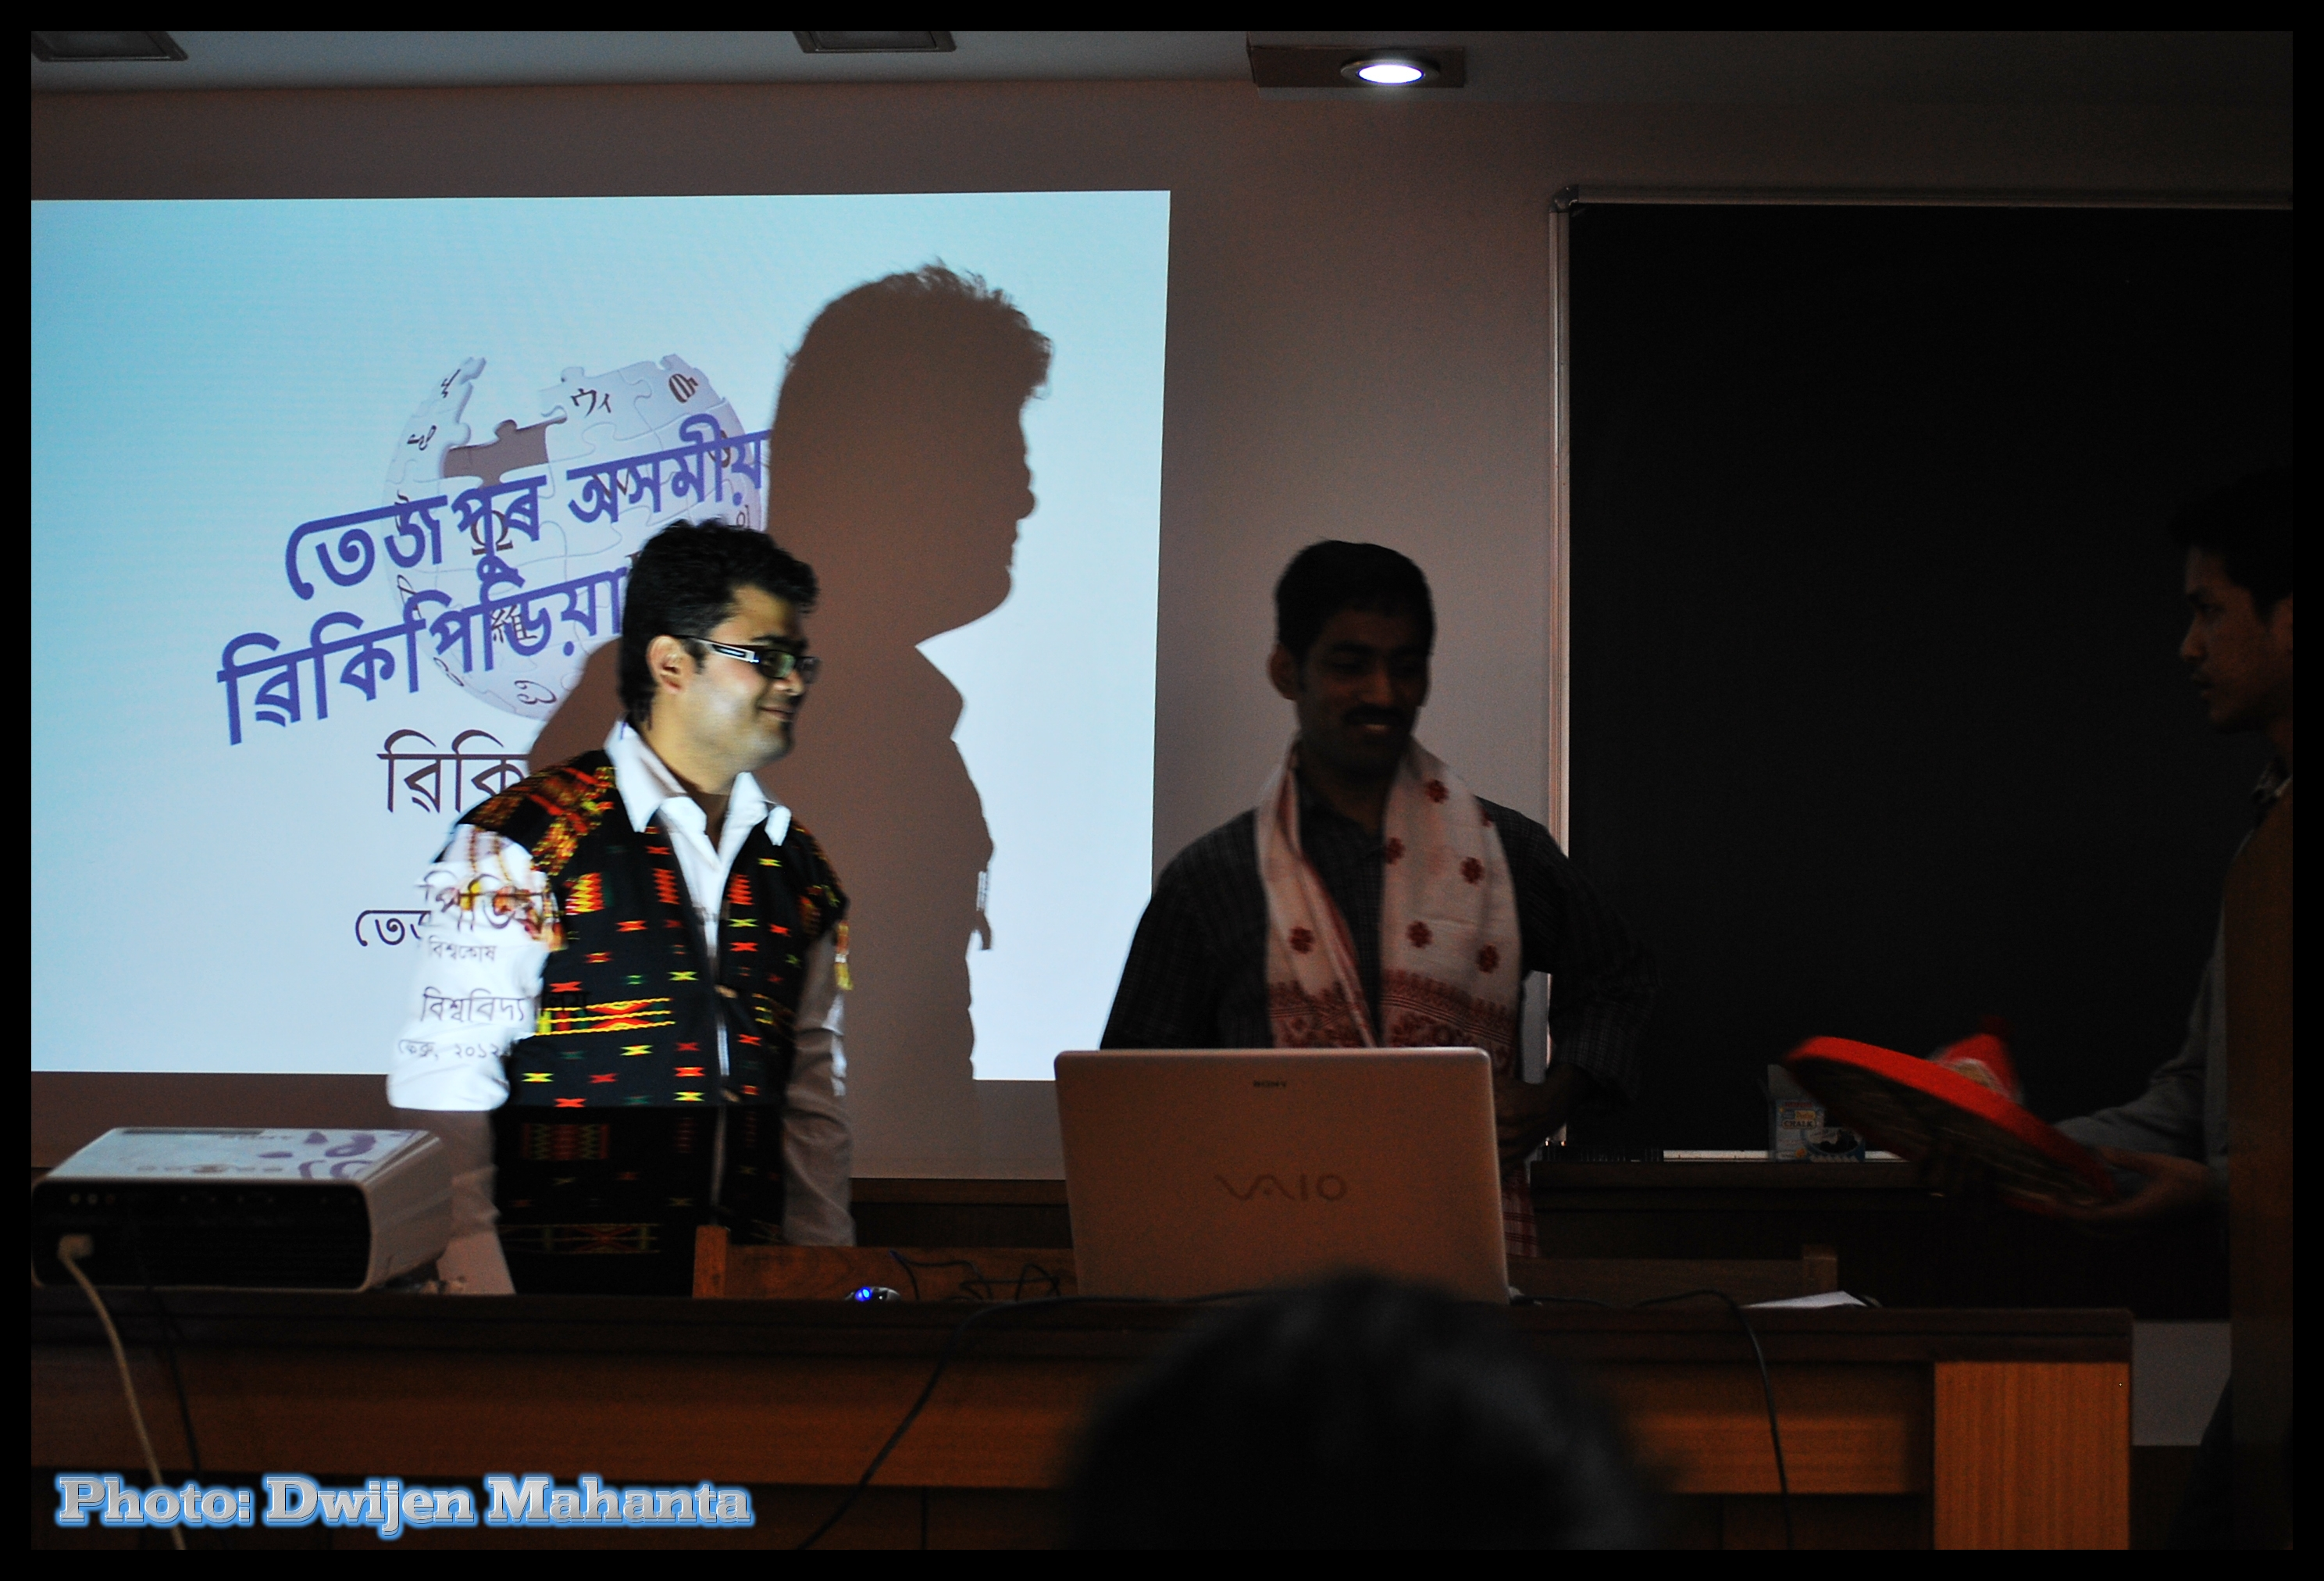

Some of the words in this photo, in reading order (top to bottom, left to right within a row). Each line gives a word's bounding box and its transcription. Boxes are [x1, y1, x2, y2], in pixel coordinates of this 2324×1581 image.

[565, 400, 769, 534] অসমীয়
[281, 466, 557, 615] তেজপুৰ
[195, 559, 626, 746] ৱিকিপিডিয়া
[354, 712, 526, 823] ৱিকি
[415, 932, 505, 969] বিশ্বকোষ
[412, 963, 548, 1030] বিশ্ববিদ্য
[45, 1463, 264, 1539] Photo:
[252, 1466, 482, 1551] Dwijen
[471, 1467, 761, 1533] Mahanta